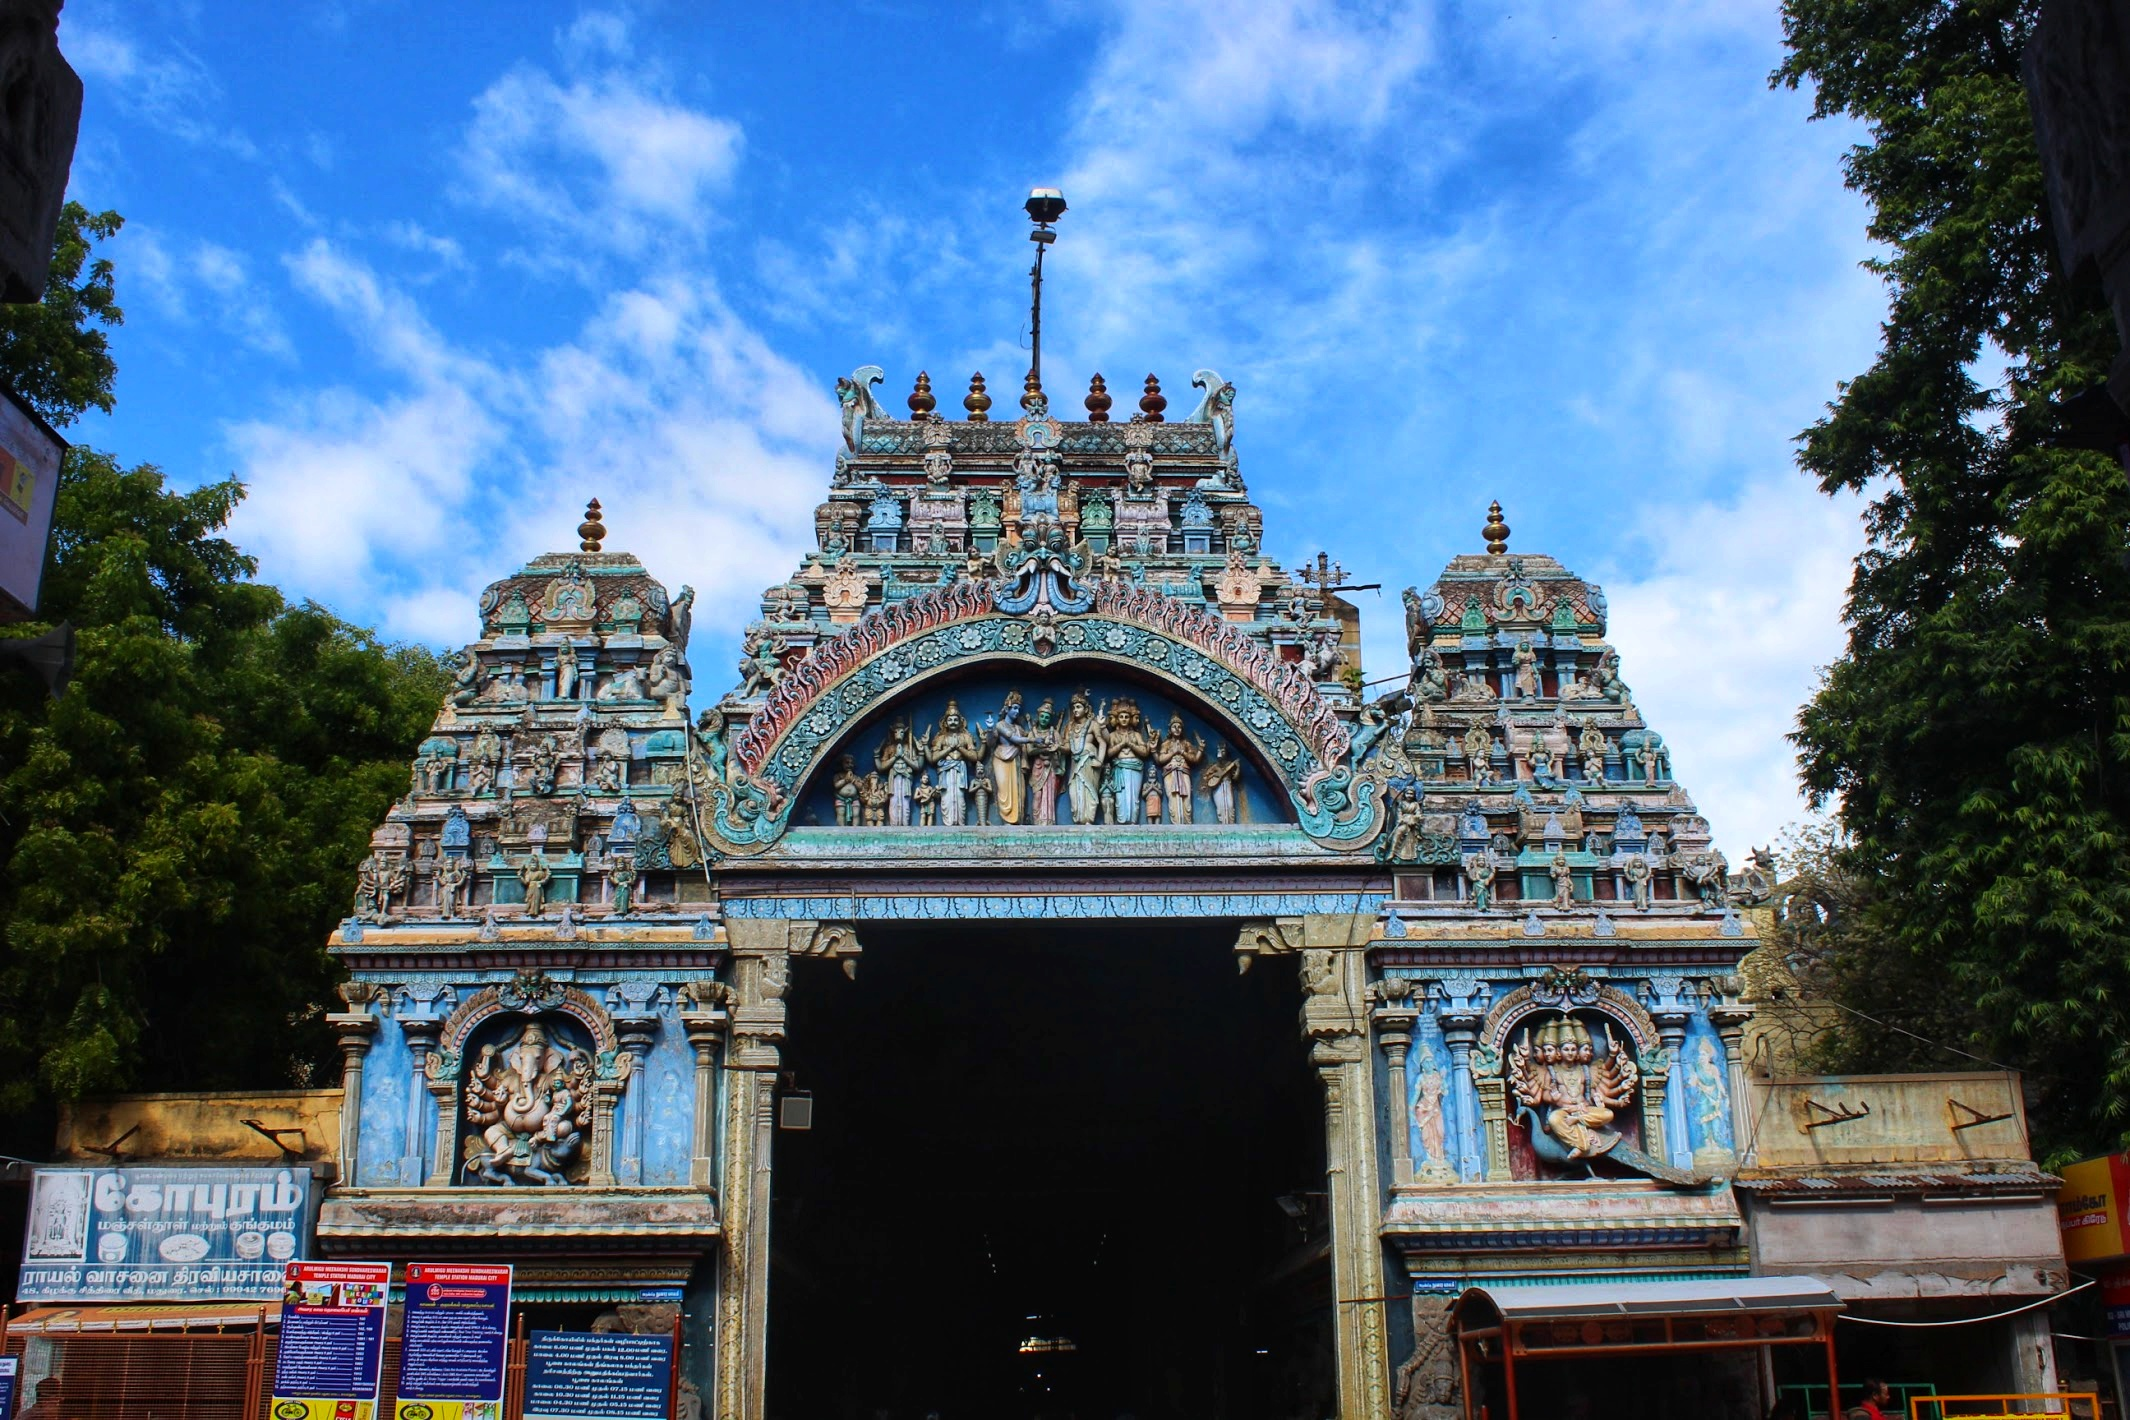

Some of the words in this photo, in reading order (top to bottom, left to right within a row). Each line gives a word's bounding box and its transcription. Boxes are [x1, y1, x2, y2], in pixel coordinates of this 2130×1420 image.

[89, 1166, 309, 1221] கோபுரம்
[96, 1209, 192, 1237] மஞ்சள்தூள்
[189, 1217, 232, 1233] மற்றும்
[225, 1214, 301, 1236] தங்தமம்
[15, 1259, 91, 1290] ராயல்
[84, 1267, 173, 1287] வாசனை
[167, 1257, 291, 1287] திரவியசாலை